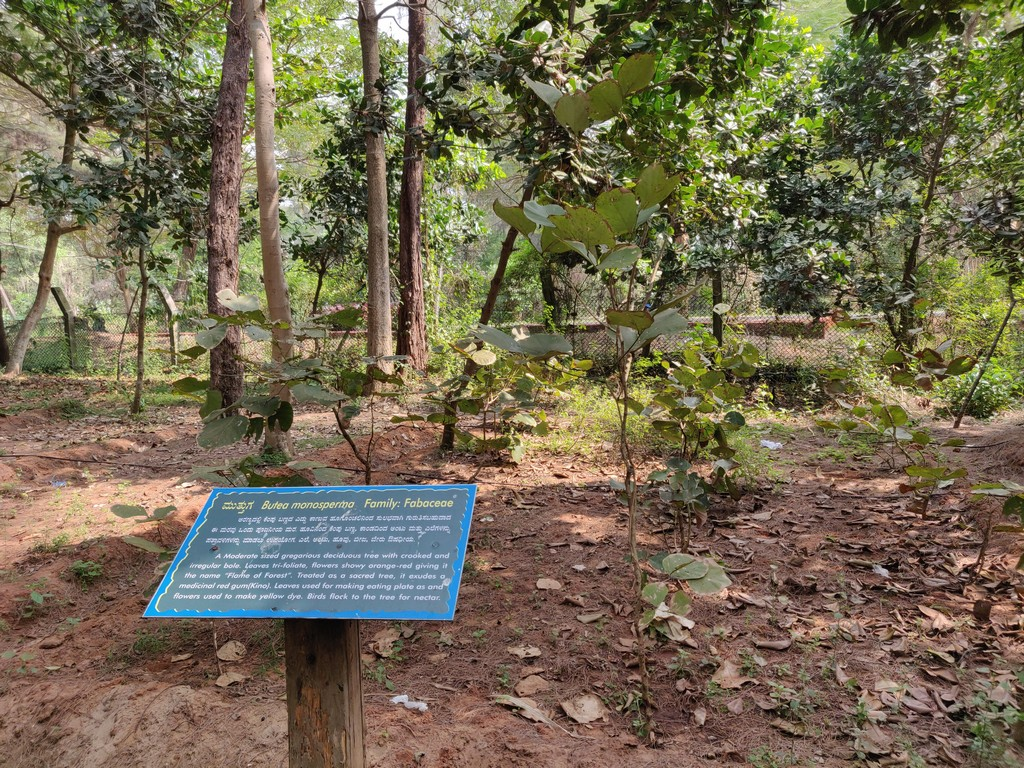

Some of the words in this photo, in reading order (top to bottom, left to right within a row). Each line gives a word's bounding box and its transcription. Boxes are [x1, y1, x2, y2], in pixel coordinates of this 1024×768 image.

[214, 495, 260, 515] ಮುತ್ತುಗ
[255, 494, 292, 515] Butea
[286, 496, 359, 512] monosperma
[360, 491, 402, 514] Family:
[401, 491, 458, 513] Fabaceae
[403, 508, 457, 523] ಗುರುತಿಸಬಹುದಾದ
[417, 516, 457, 537] ಎಲೆಗಳನ್ನು
[365, 528, 389, 547] ಬೇರು
[177, 567, 202, 581] the
[173, 579, 221, 591] medicinal
[185, 559, 225, 575] irregular
[192, 569, 225, 583] name
[210, 549, 226, 563] A
[213, 577, 233, 594] red
[222, 567, 253, 585] "Florhe
[221, 546, 262, 562] Moderate
[227, 580, 277, 593] gum(Kino).
[239, 556, 273, 573] Leaves
[249, 569, 266, 582] of
[257, 549, 283, 565] sized
[263, 569, 293, 583] Forest"
[270, 577, 303, 594] Leaves
[268, 560, 311, 572] tri-foliate,
[279, 547, 325, 563] gregarious
[291, 566, 331, 585] Treated
[297, 578, 325, 593] used
[305, 558, 341, 573] flowers
[317, 579, 337, 593] for
[324, 569, 343, 583] as
[321, 547, 365, 563] deciduous
[331, 580, 370, 594] making
[335, 557, 369, 574] showy
[344, 568, 378, 584] sacred
[357, 548, 383, 564] free
[361, 558, 381, 574] oro
[363, 577, 395, 593] eating
[373, 569, 398, 585] tree,
[377, 549, 401, 565] with
[373, 557, 416, 573] onge-red
[390, 568, 411, 585] it
[391, 577, 418, 594] plate
[396, 549, 437, 563] crooked
[403, 569, 439, 585] exudes
[411, 581, 432, 594] as
[409, 555, 442, 573] giving
[425, 580, 450, 595] and
[429, 549, 454, 565] and